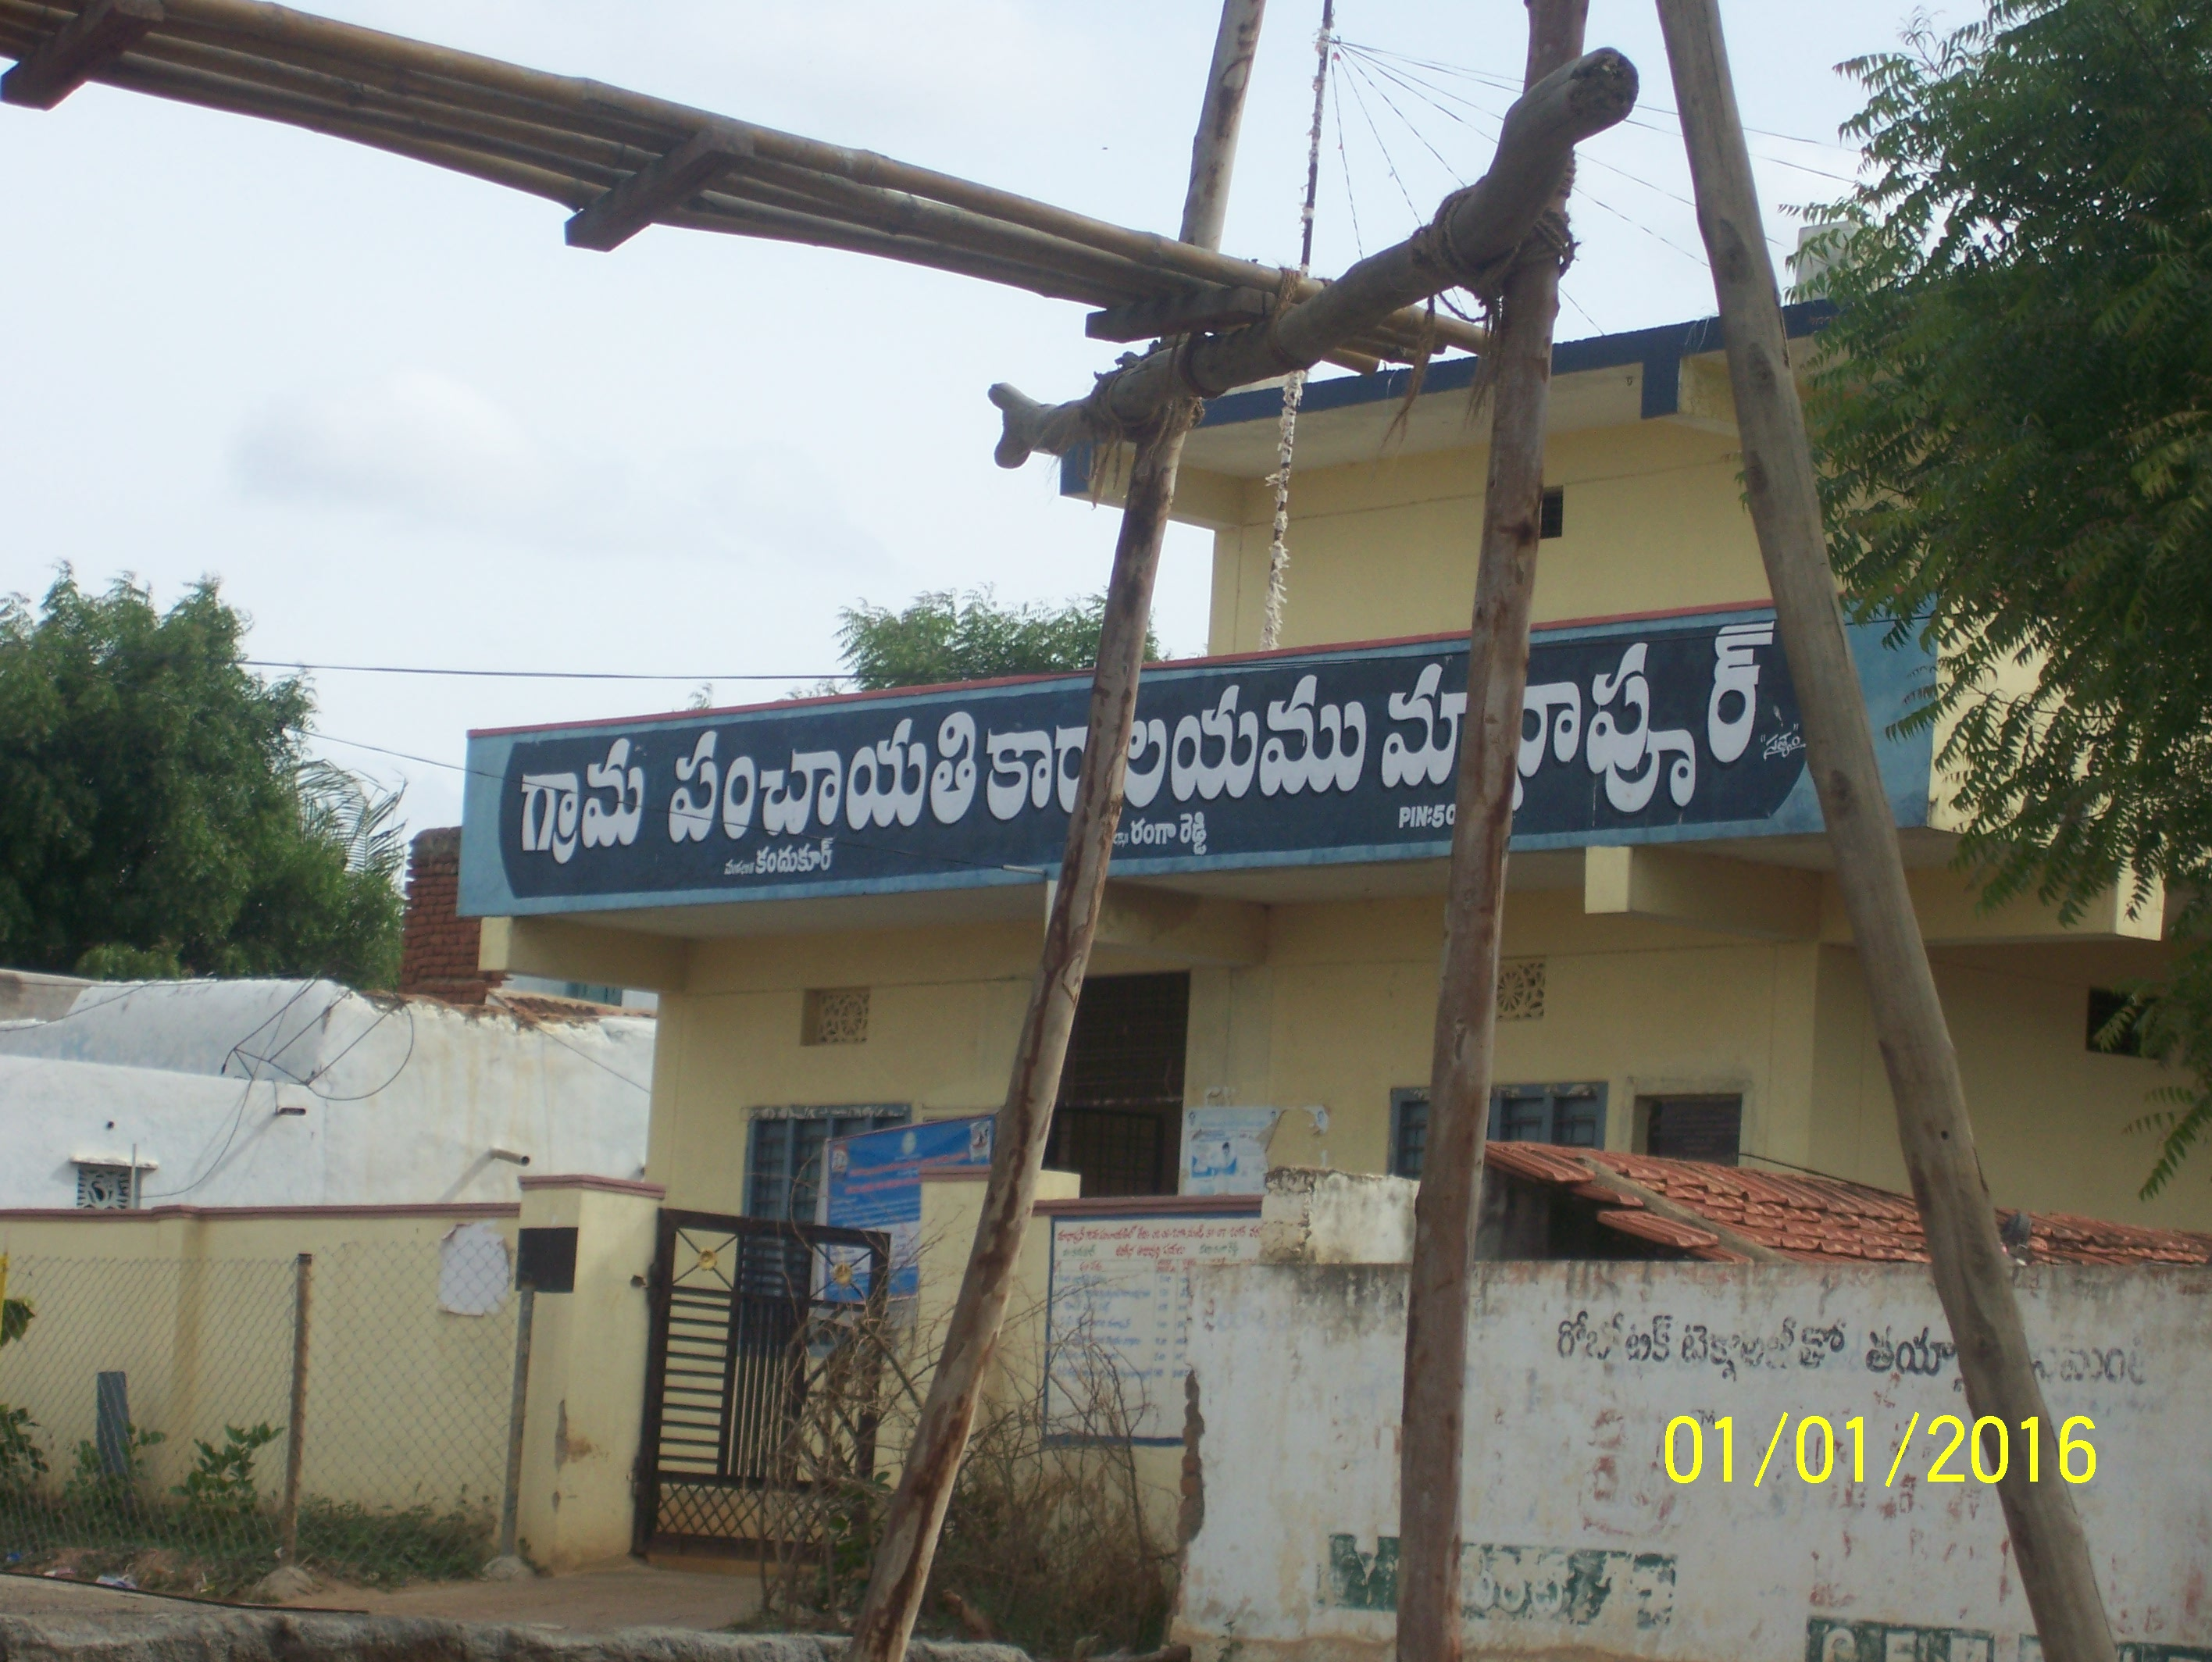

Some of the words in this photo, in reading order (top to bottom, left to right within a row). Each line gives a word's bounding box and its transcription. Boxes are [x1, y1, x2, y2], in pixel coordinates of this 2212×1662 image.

[516, 729, 651, 870] గ్రామ
[718, 835, 837, 879] మదయి కందుకూర్
[666, 708, 983, 845] పంచాయతి
[1108, 809, 1210, 861] రంగా రెడ్డి
[976, 670, 1371, 824] కారాలయము
[1395, 799, 1461, 830] PIN:50
[1374, 614, 1775, 819] మరాపూర్
[1540, 1295, 1678, 1367] గోబోటక
[1857, 1312, 1967, 1389] తయా